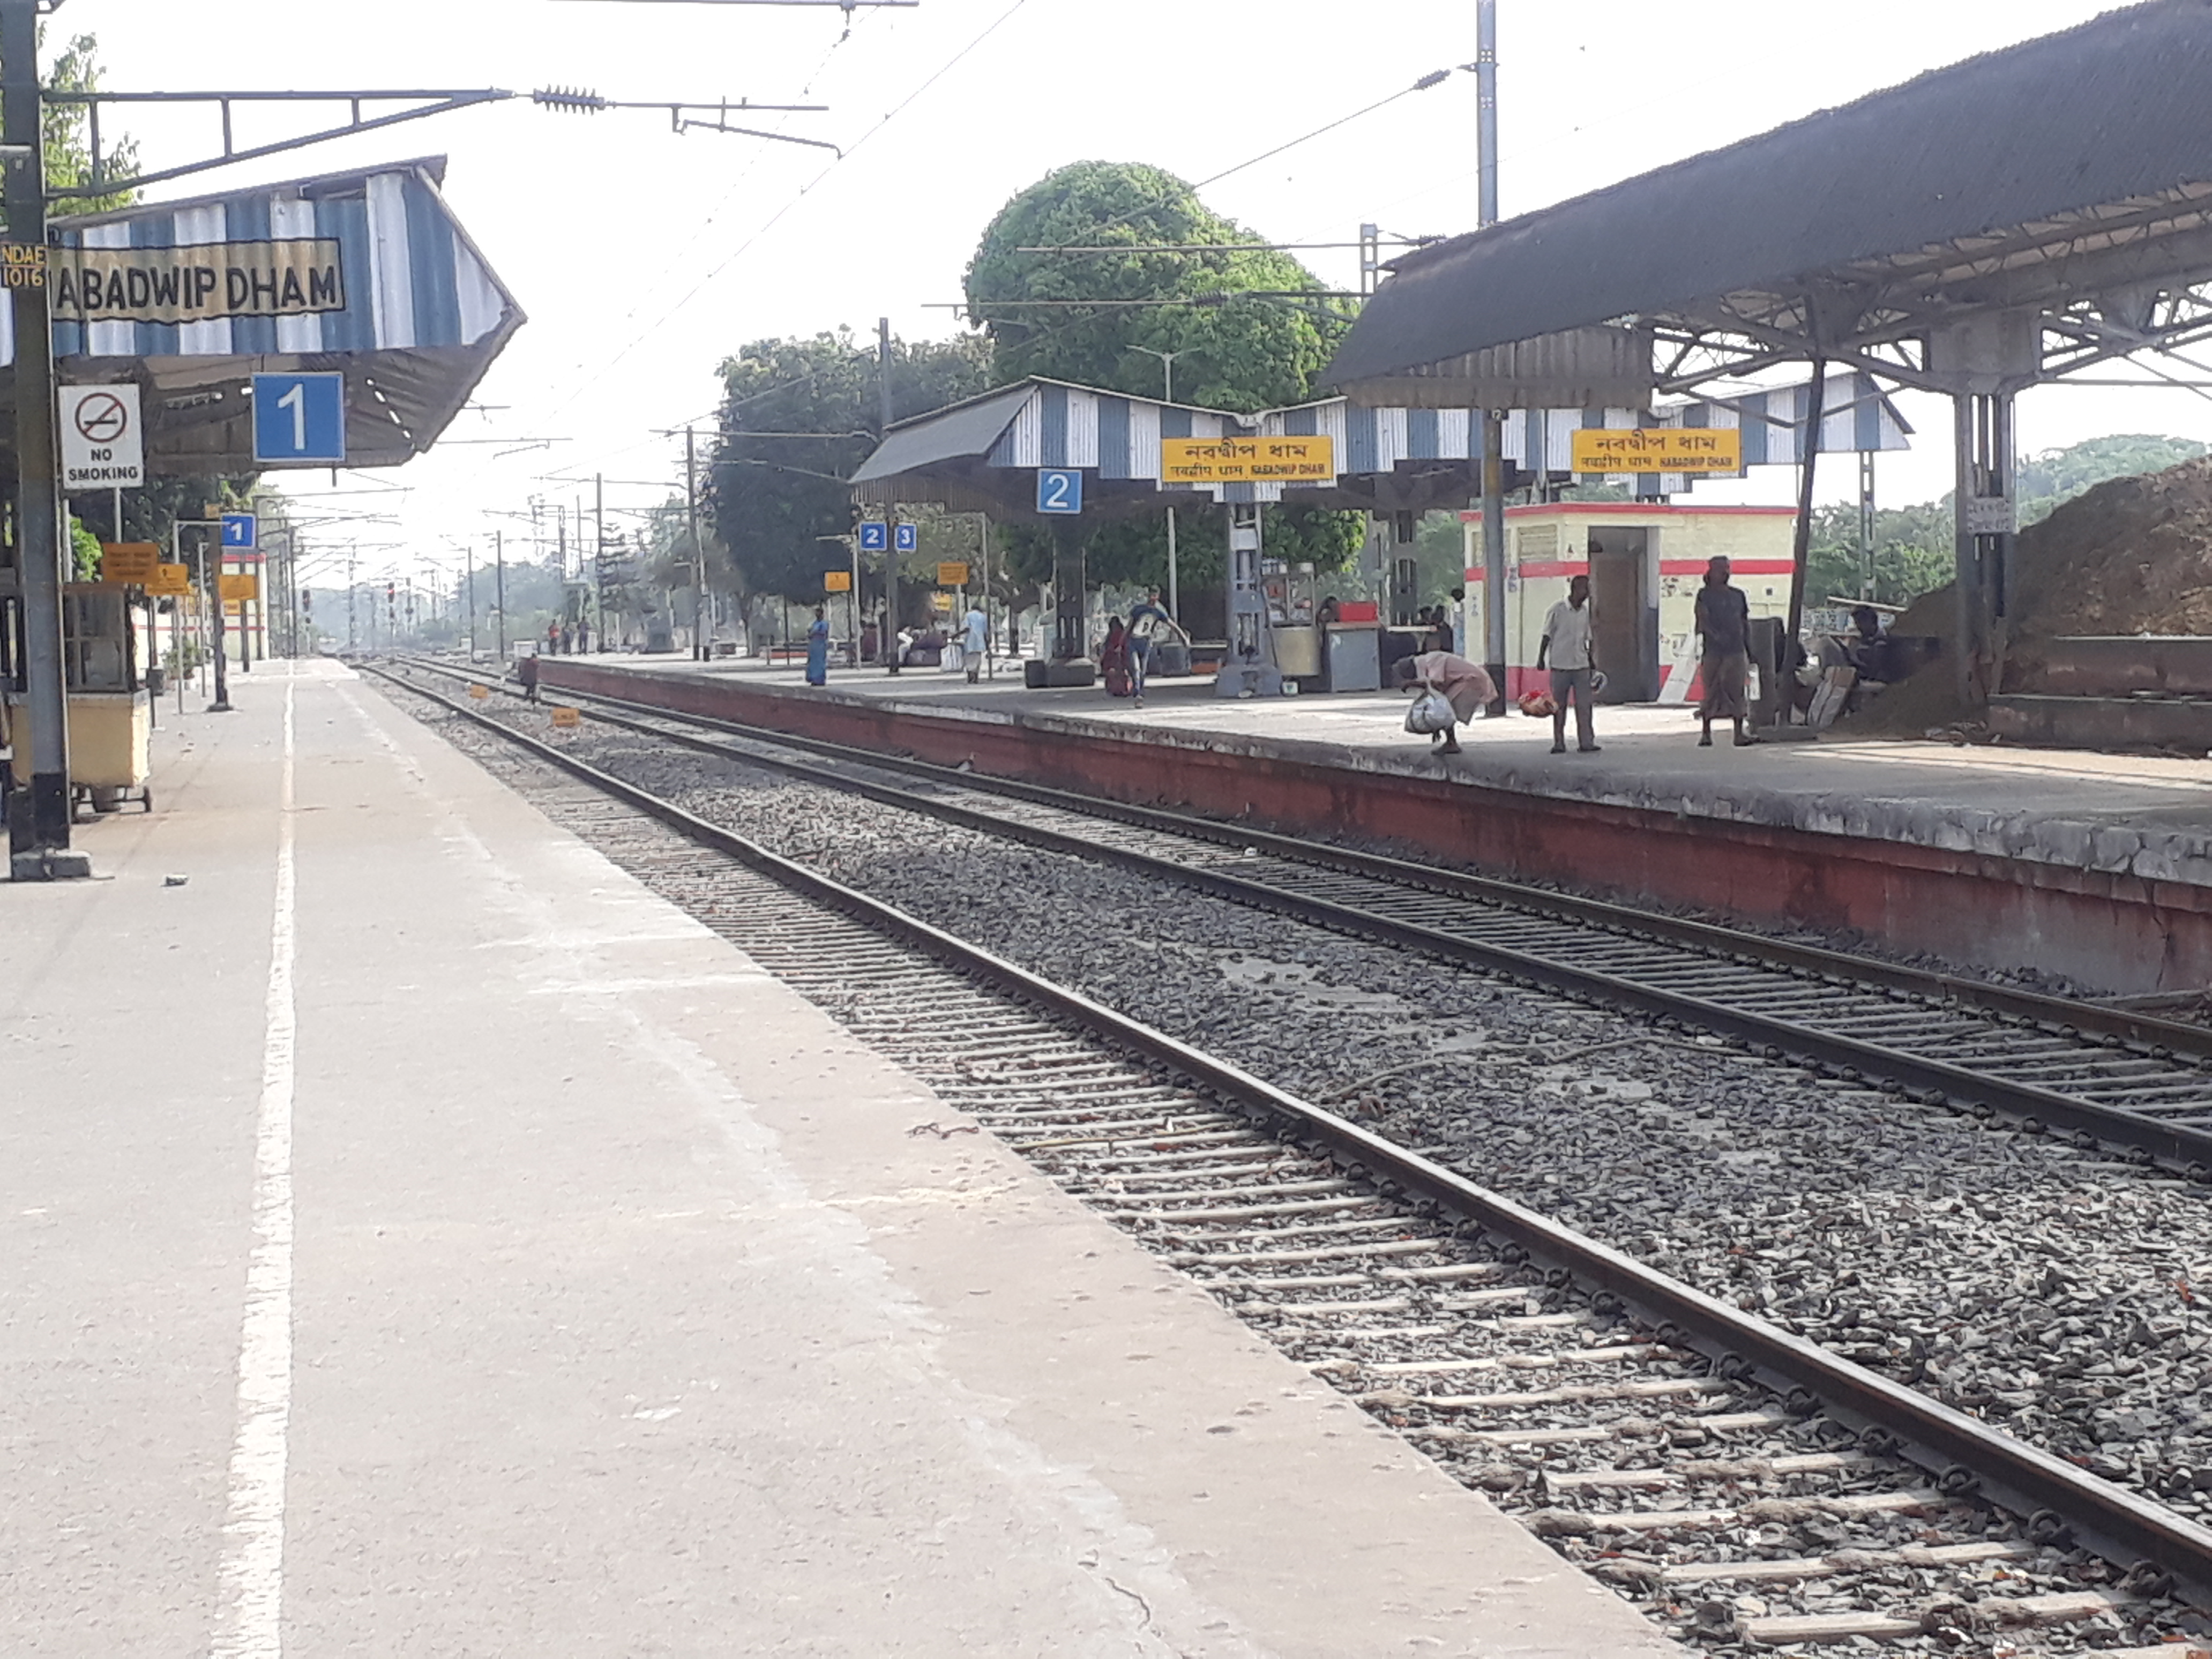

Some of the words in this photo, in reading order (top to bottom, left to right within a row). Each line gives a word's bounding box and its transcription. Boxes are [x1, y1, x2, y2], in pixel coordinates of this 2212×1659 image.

[51, 258, 225, 311] ABADWIP
[219, 257, 343, 318] DHAM
[86, 443, 118, 466] NO
[65, 464, 141, 485] SMOKING
[1167, 458, 1217, 480] নবদ্বীপ
[1179, 430, 1261, 464] নবদ্বীপ
[1212, 462, 1247, 480] धाम
[1266, 438, 1310, 460] ধাম
[1580, 449, 1625, 472] नबद्वीप
[1592, 422, 1670, 456] নবদ্বীপ
[1623, 454, 1654, 468] धाम
[1674, 429, 1717, 454] ধাম